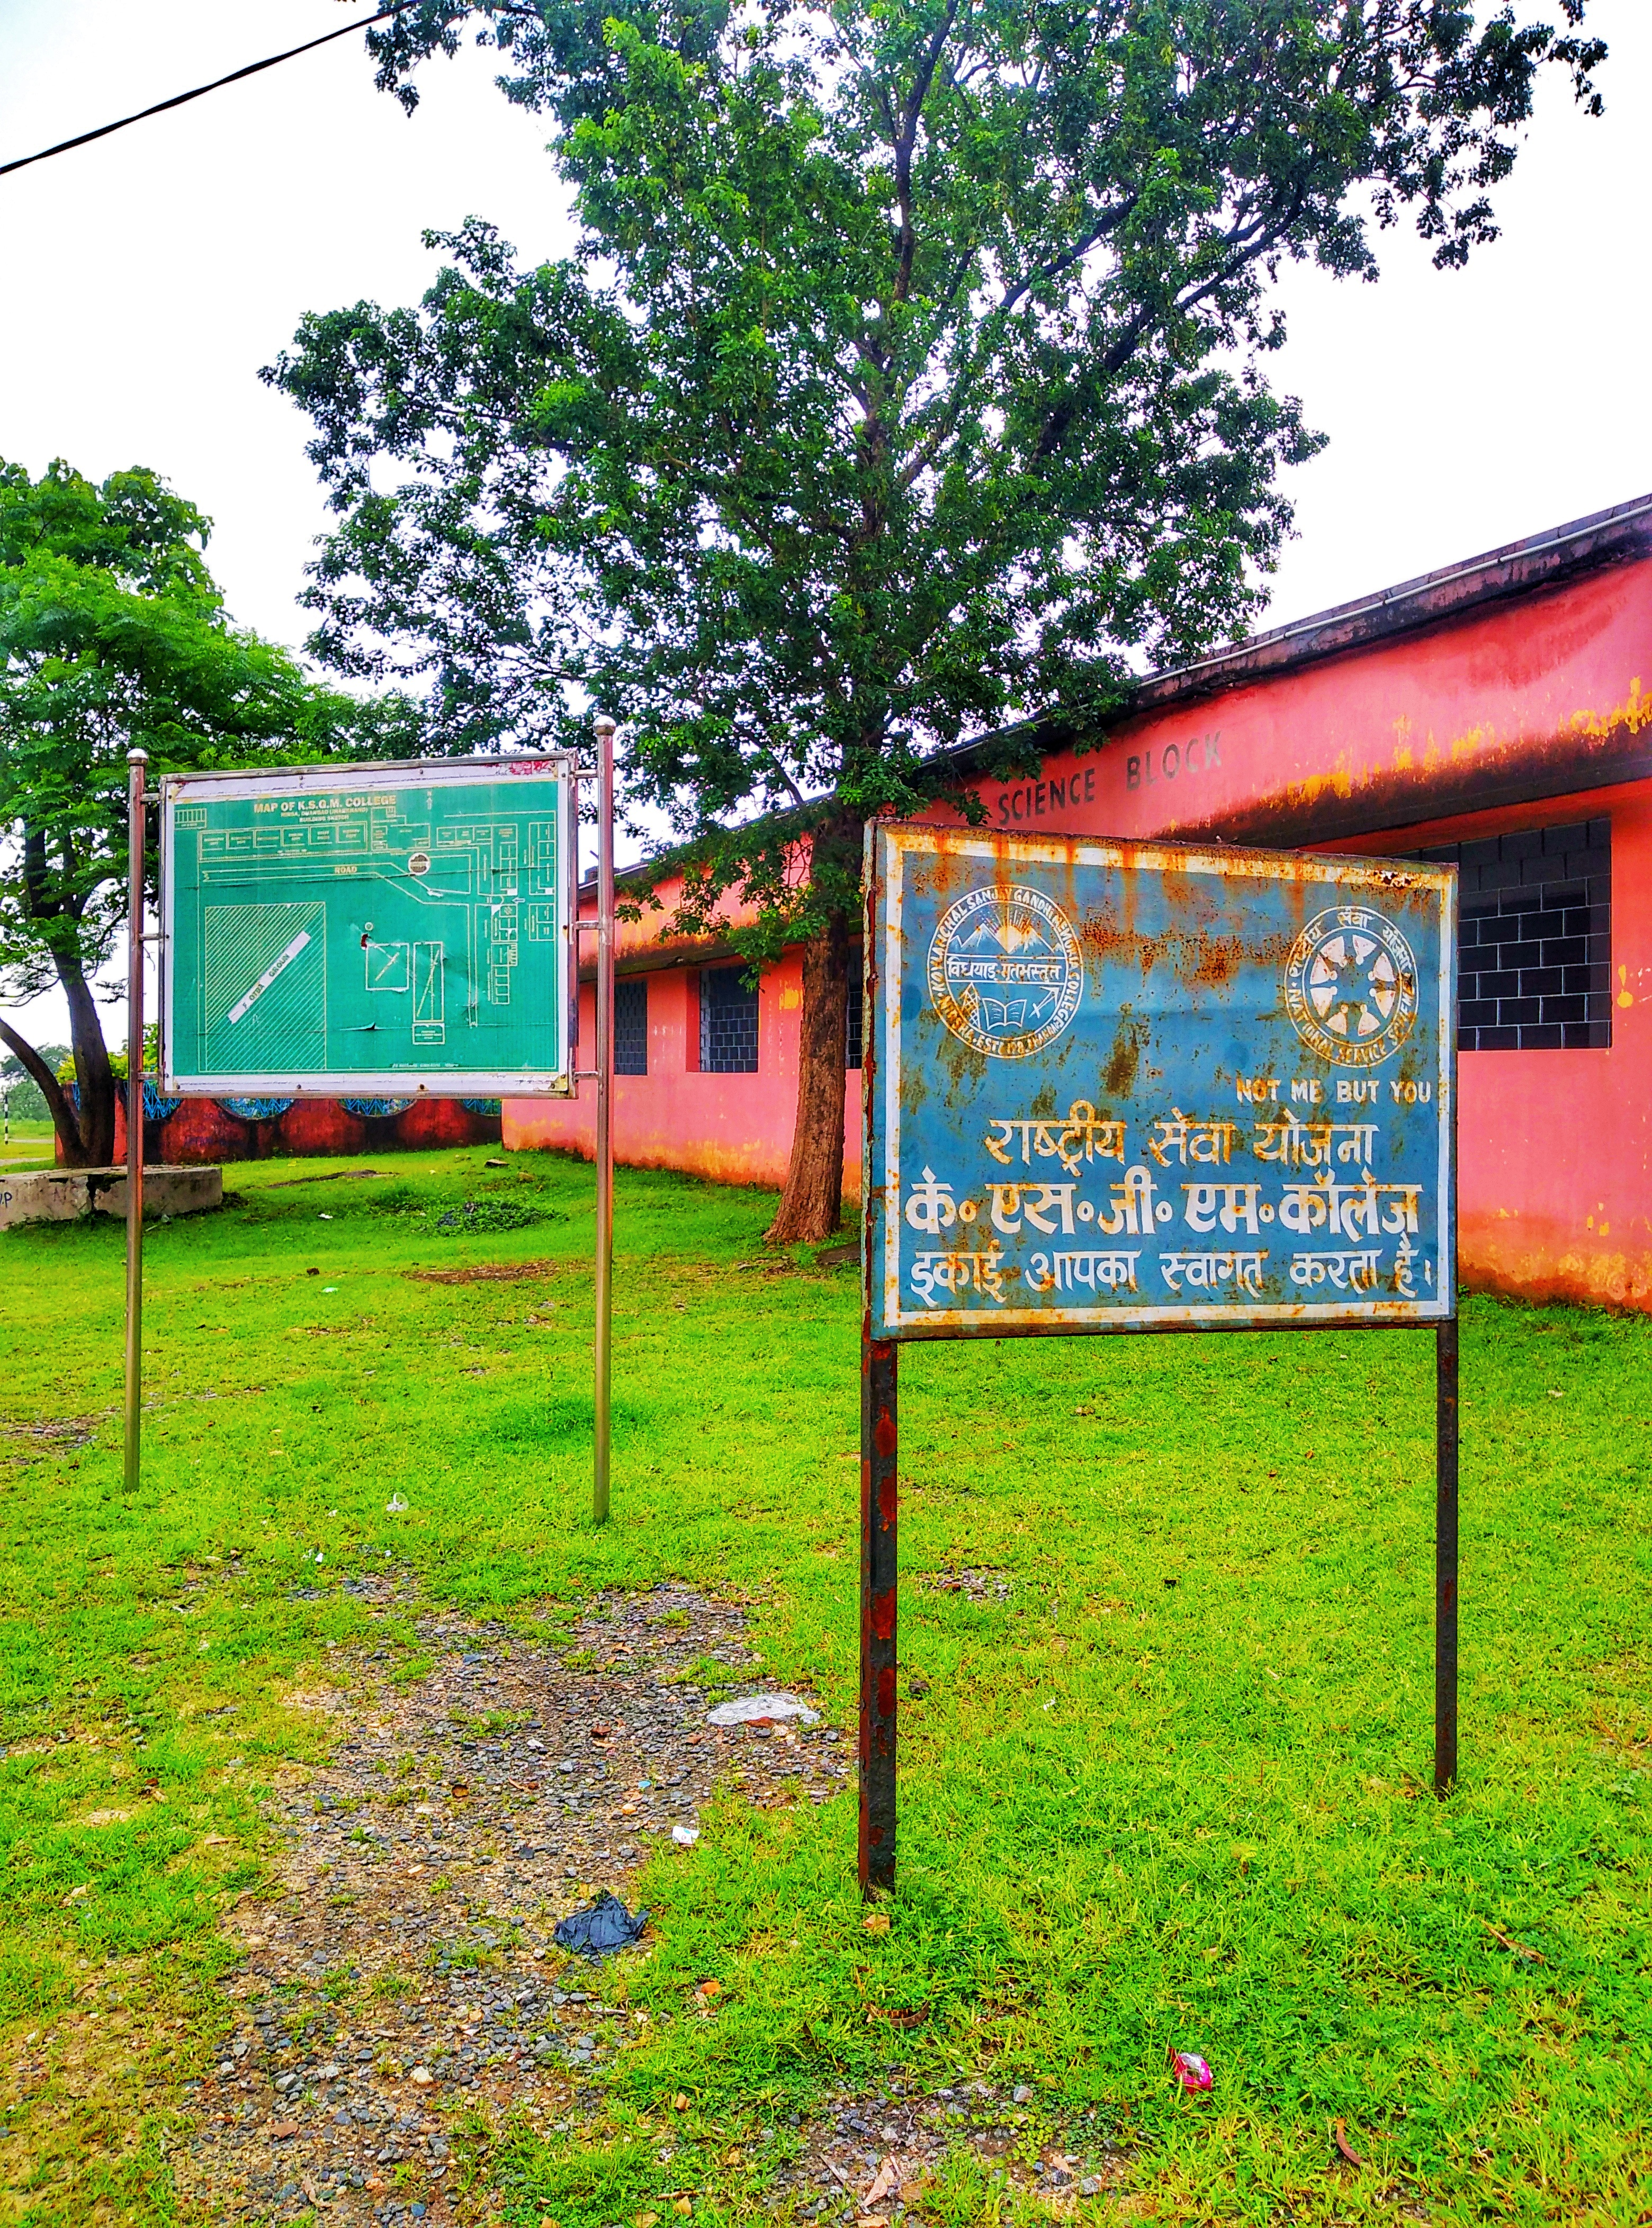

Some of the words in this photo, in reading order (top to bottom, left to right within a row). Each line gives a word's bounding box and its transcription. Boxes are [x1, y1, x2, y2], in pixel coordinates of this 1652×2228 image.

[1116, 729, 1223, 792] BLOCK
[250, 801, 278, 816] MAP
[279, 798, 297, 813] OF
[296, 796, 346, 813] K.S.G.M.
[344, 792, 399, 810] COLLEGE
[995, 766, 1098, 829] SCIENCE
[928, 902, 971, 997] KOVLANCHAL
[943, 953, 1001, 985] विधयाङ्
[963, 883, 1016, 912] SANJAY
[1000, 958, 1066, 987] मृतभस्तुत
[1010, 885, 1059, 922] GANDHI
[1047, 911, 1081, 973] MEMOKIA
[1284, 919, 1326, 981] राष्ट्रीय
[1335, 903, 1376, 932] सेवा
[1377, 924, 1414, 976] योजना
[1283, 986, 1337, 1062] NATIONAL
[1382, 977, 1418, 1049] SCHEME
[1334, 1037, 1388, 1067] SERVICE
[1235, 1074, 1281, 1108] NOT
[1289, 1076, 1324, 1104] ME
[1337, 1079, 1381, 1105] BUT
[1390, 1080, 1435, 1107] YOU
[980, 1097, 1129, 1179] राष्ट्रीय
[1145, 1105, 1241, 1172] सेवा
[1253, 1106, 1381, 1170] योजना
[901, 1159, 978, 1236] के०
[985, 1180, 1097, 1236] एस०
[1092, 1160, 1174, 1238] जी.
[1178, 1180, 1279, 1237] एम.
[1275, 1163, 1427, 1245] कॉलेज
[907, 1236, 1008, 1309] इकाई
[1025, 1248, 1143, 1296] आपका
[1159, 1249, 1269, 1302] स्वागत
[1284, 1247, 1384, 1298] करता
[1390, 1229, 1435, 1300] है।